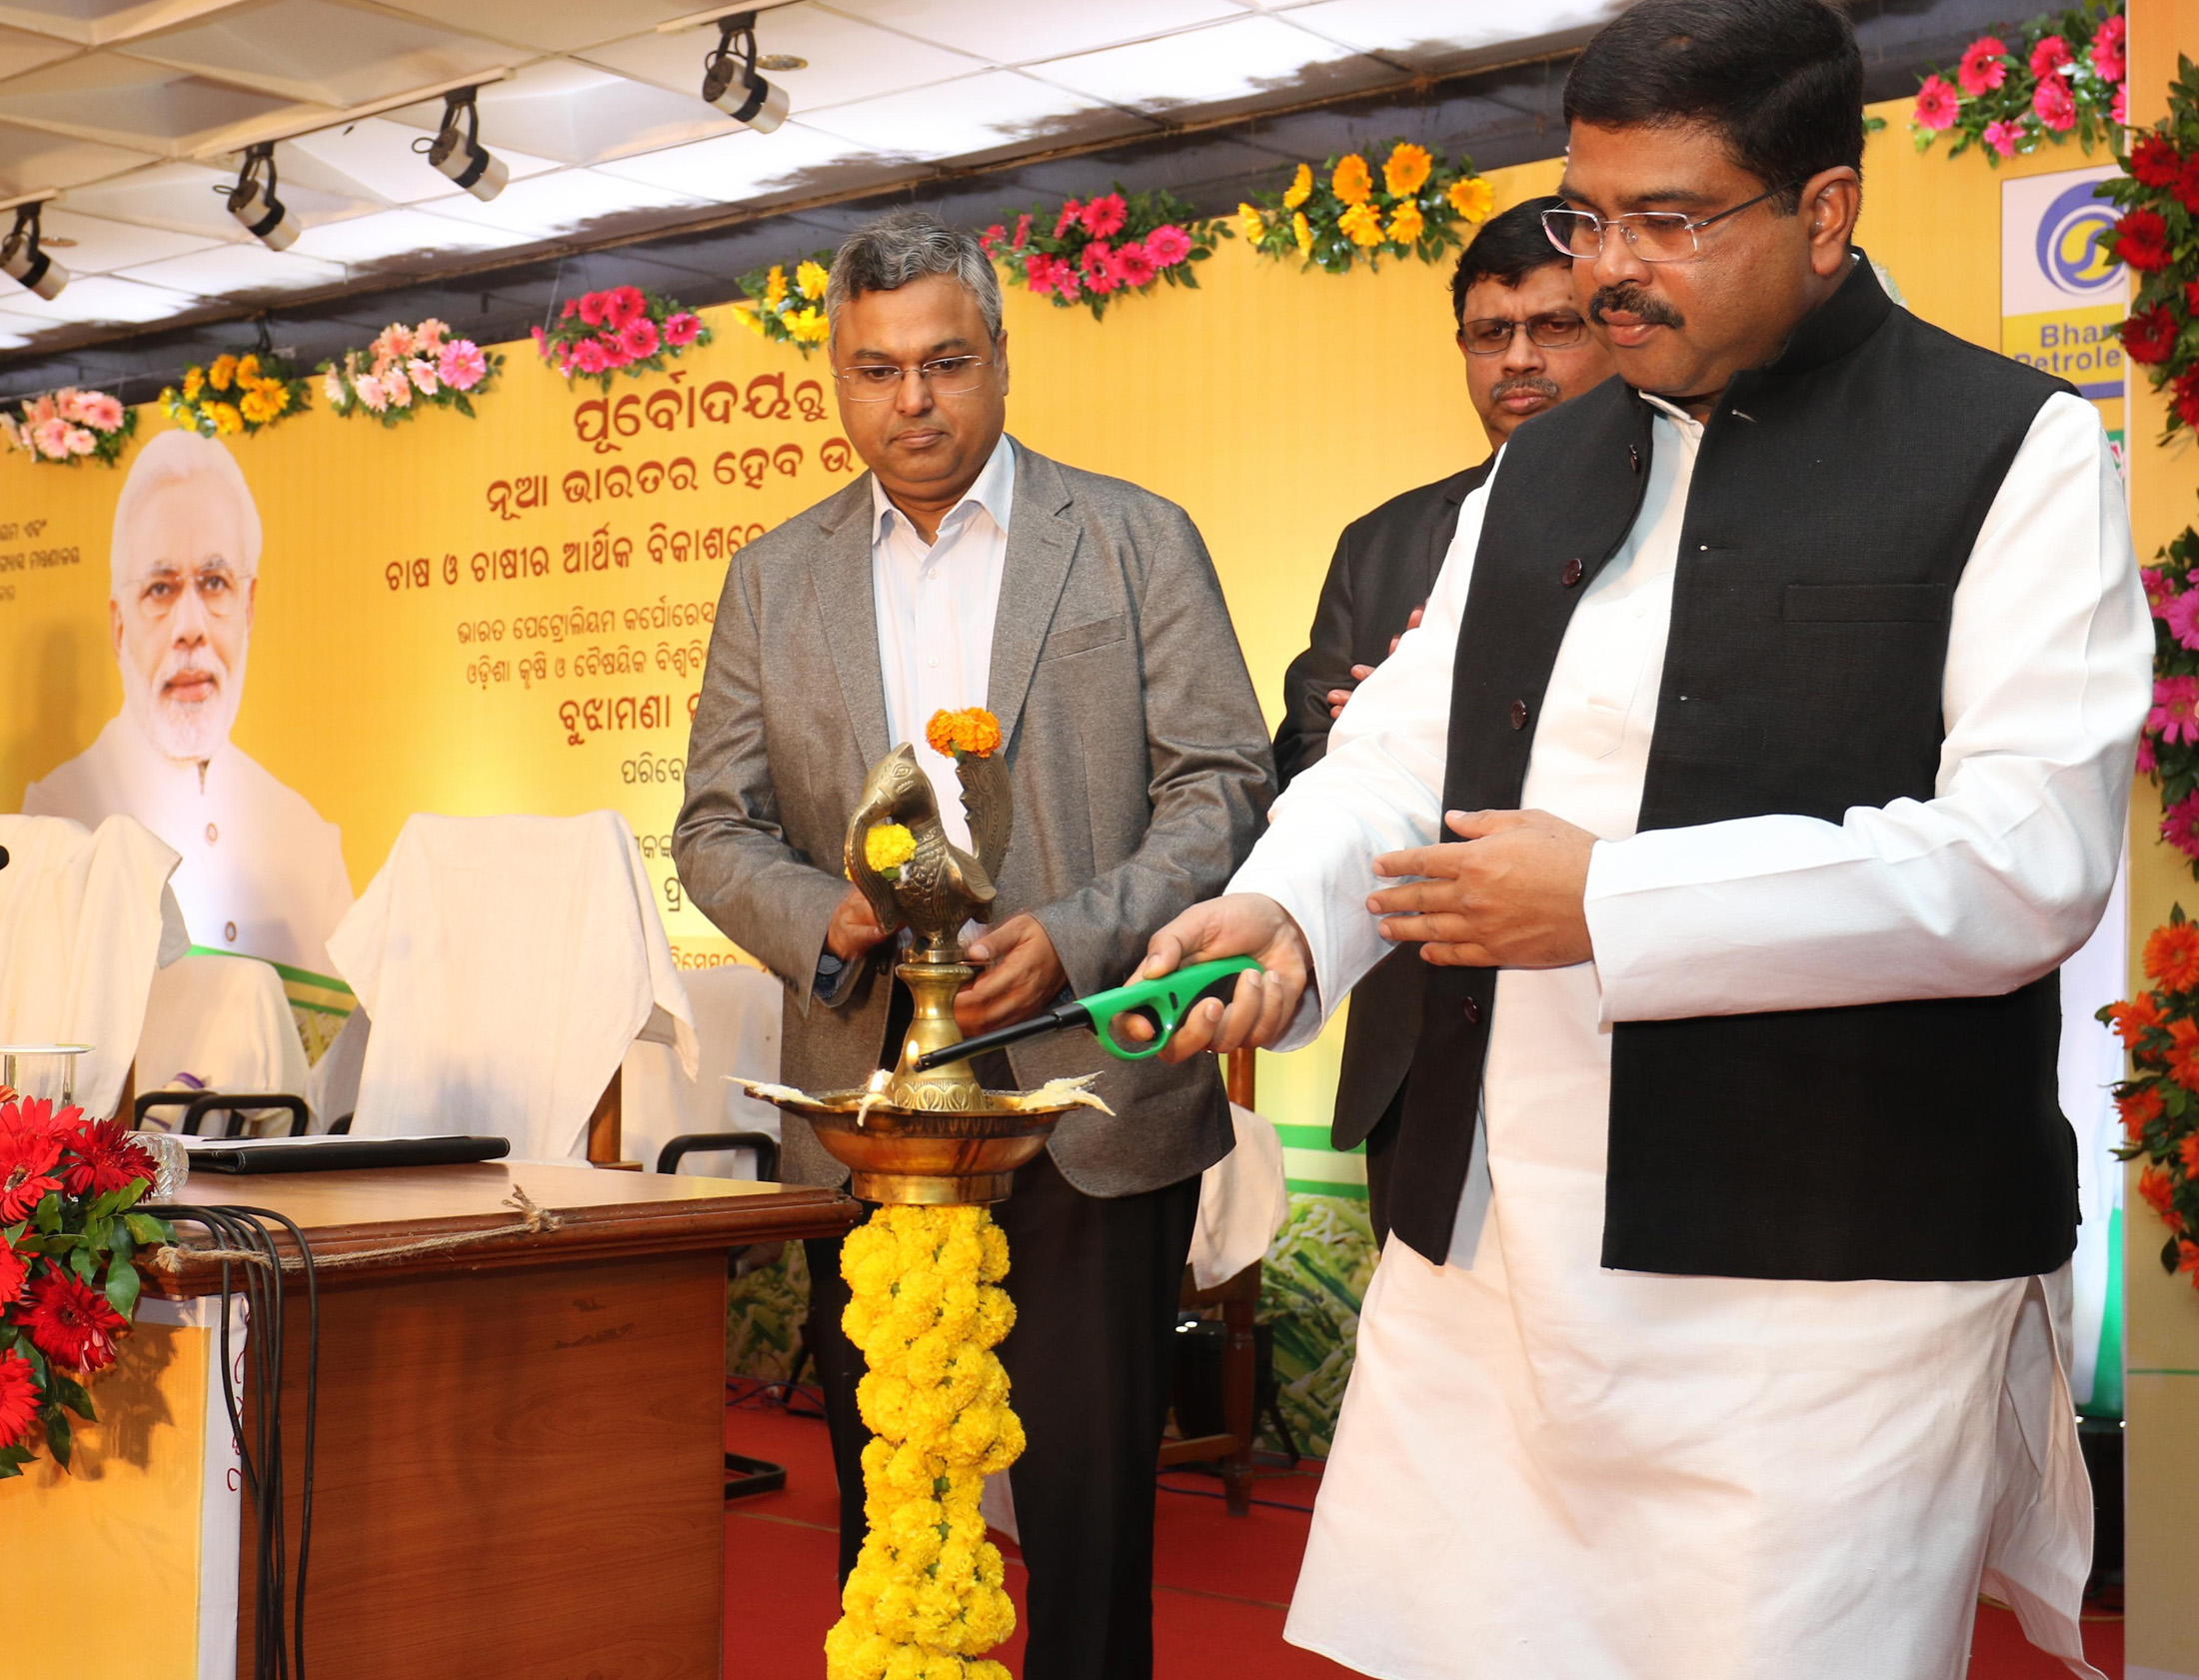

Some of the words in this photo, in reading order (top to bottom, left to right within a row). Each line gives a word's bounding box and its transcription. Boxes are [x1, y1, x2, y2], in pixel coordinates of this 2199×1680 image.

[2031, 310, 2125, 349] Bha
[2007, 336, 2124, 383] Petrole
[567, 359, 832, 460] ପୂର୍ବୋଦୟକ୍ତ
[479, 464, 554, 528] ନୂଆ
[557, 450, 699, 512] ଭାରତର
[705, 436, 807, 498] ହେବ
[821, 439, 858, 482] ଉ
[377, 550, 464, 598] ଚାଷ ଓ
[461, 537, 552, 587] ଚାଷୀର
[554, 523, 639, 582] ଆର୍ଥିକ
[637, 515, 772, 570] ବିକାଶନେ
[448, 612, 506, 651] ଭାରତ
[508, 597, 622, 646] ପେଟ୍ରୋଲିୟମ
[614, 593, 721, 635] କର୍ପୋରେସ
[460, 647, 518, 694] ଓଡ଼ିଶା
[512, 643, 574, 692] କୃଷି ଓ
[563, 640, 648, 685] ବୈଷୟିକ
[643, 636, 714, 685] ବିଶ୍ୱବି
[552, 687, 674, 749] ବୁଝାମଣା
[619, 744, 690, 793] ପରିବେ